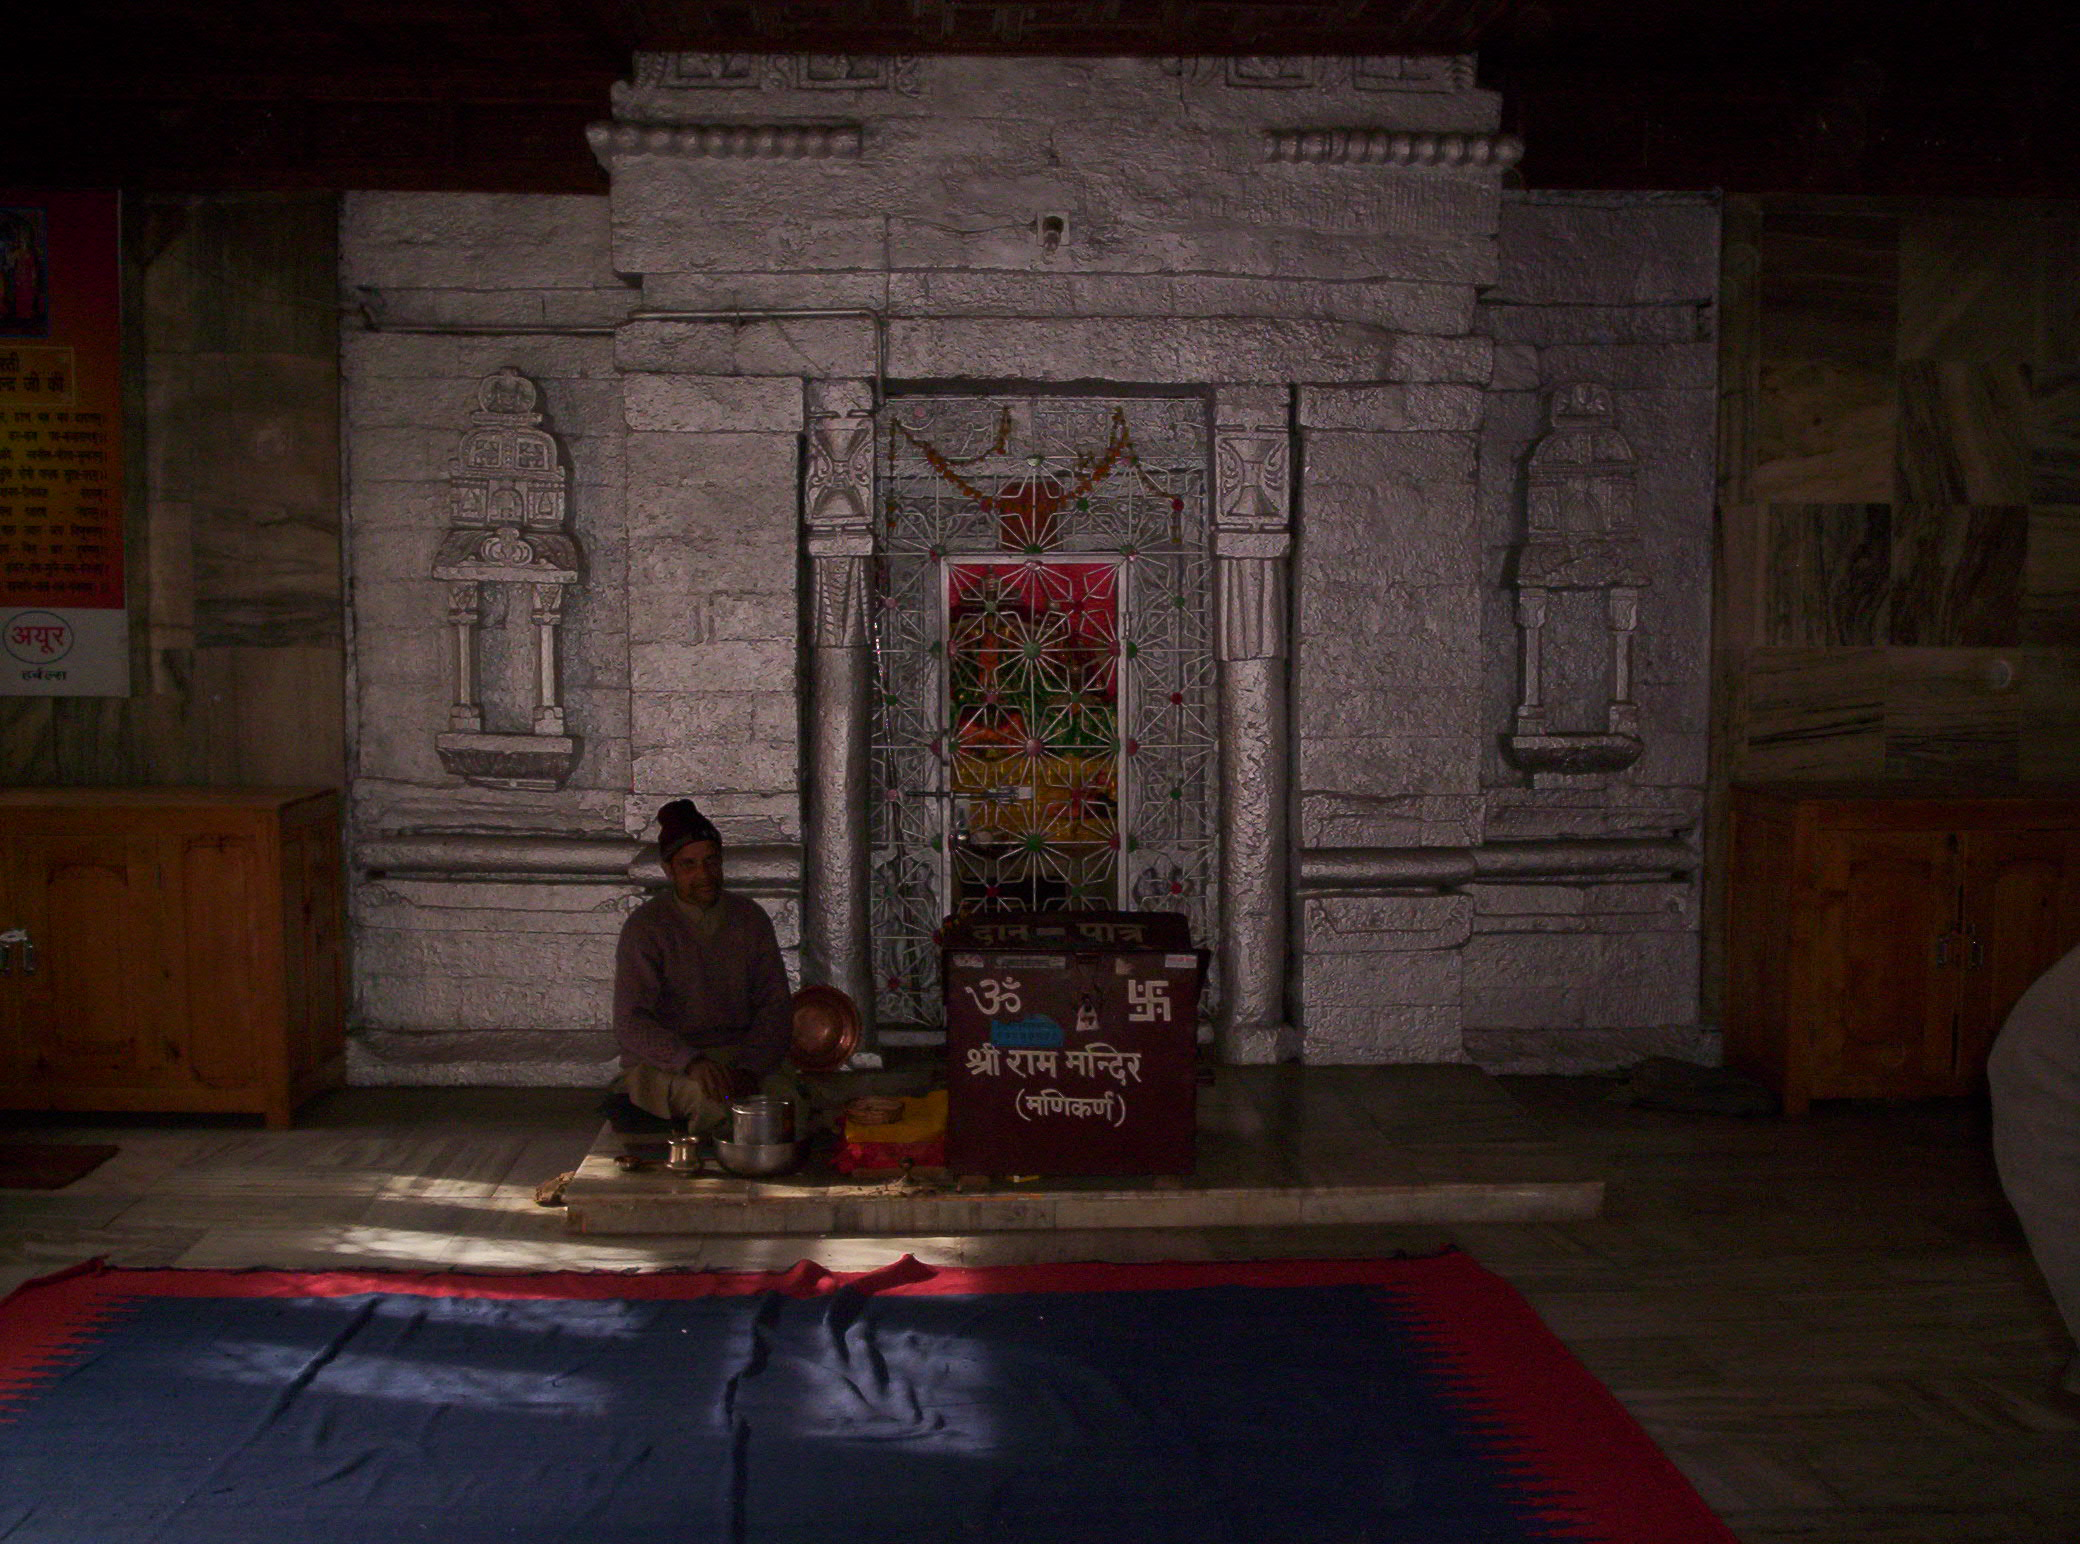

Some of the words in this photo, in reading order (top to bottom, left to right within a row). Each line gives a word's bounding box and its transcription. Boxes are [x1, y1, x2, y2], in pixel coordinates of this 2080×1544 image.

[19, 366, 43, 395] जों
[43, 367, 67, 397] कीं
[7, 624, 67, 657] अयूर
[19, 662, 69, 685] हर्बल्स
[971, 921, 1033, 952] दान
[1075, 923, 1149, 947] पात्र
[963, 1039, 1005, 1079] श्री
[1005, 1047, 1060, 1083] राम
[1063, 1037, 1145, 1089] मन्दिर
[1023, 1085, 1117, 1124] मणिकर्ण